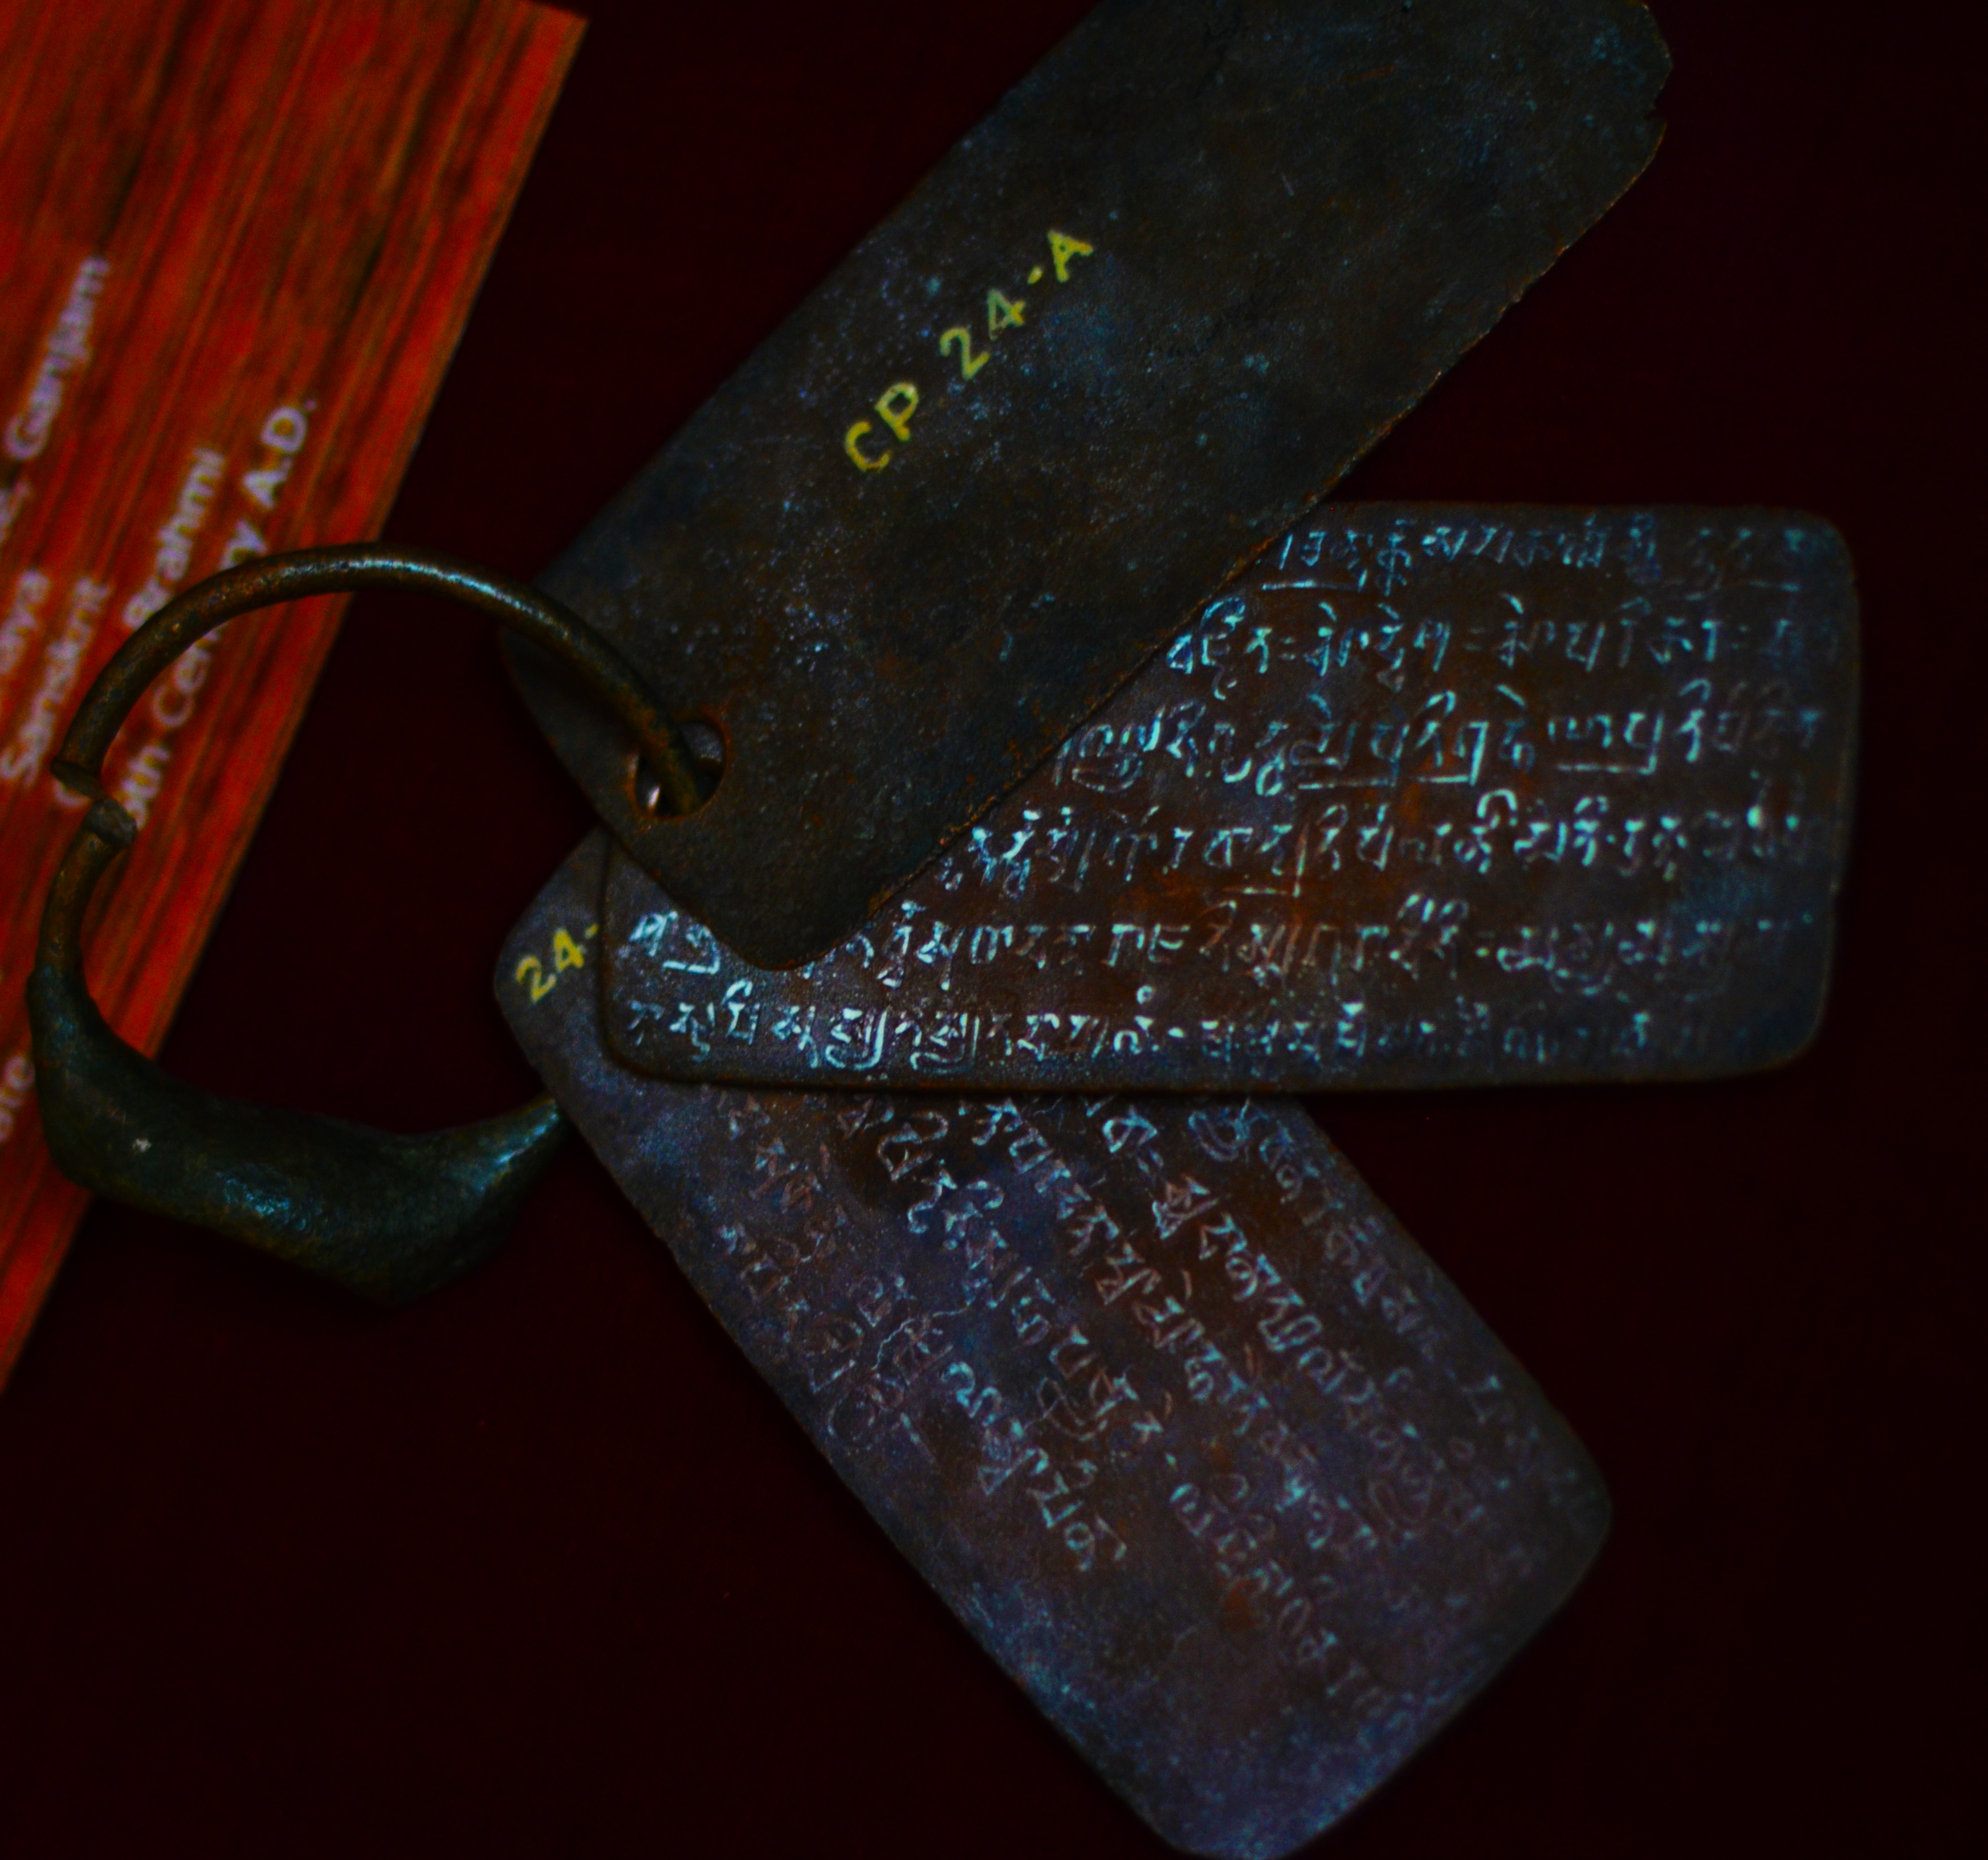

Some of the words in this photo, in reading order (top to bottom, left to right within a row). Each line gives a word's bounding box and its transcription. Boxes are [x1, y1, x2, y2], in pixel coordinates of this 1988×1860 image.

[920, 218, 1107, 391] 24-A
[833, 368, 934, 487] CP